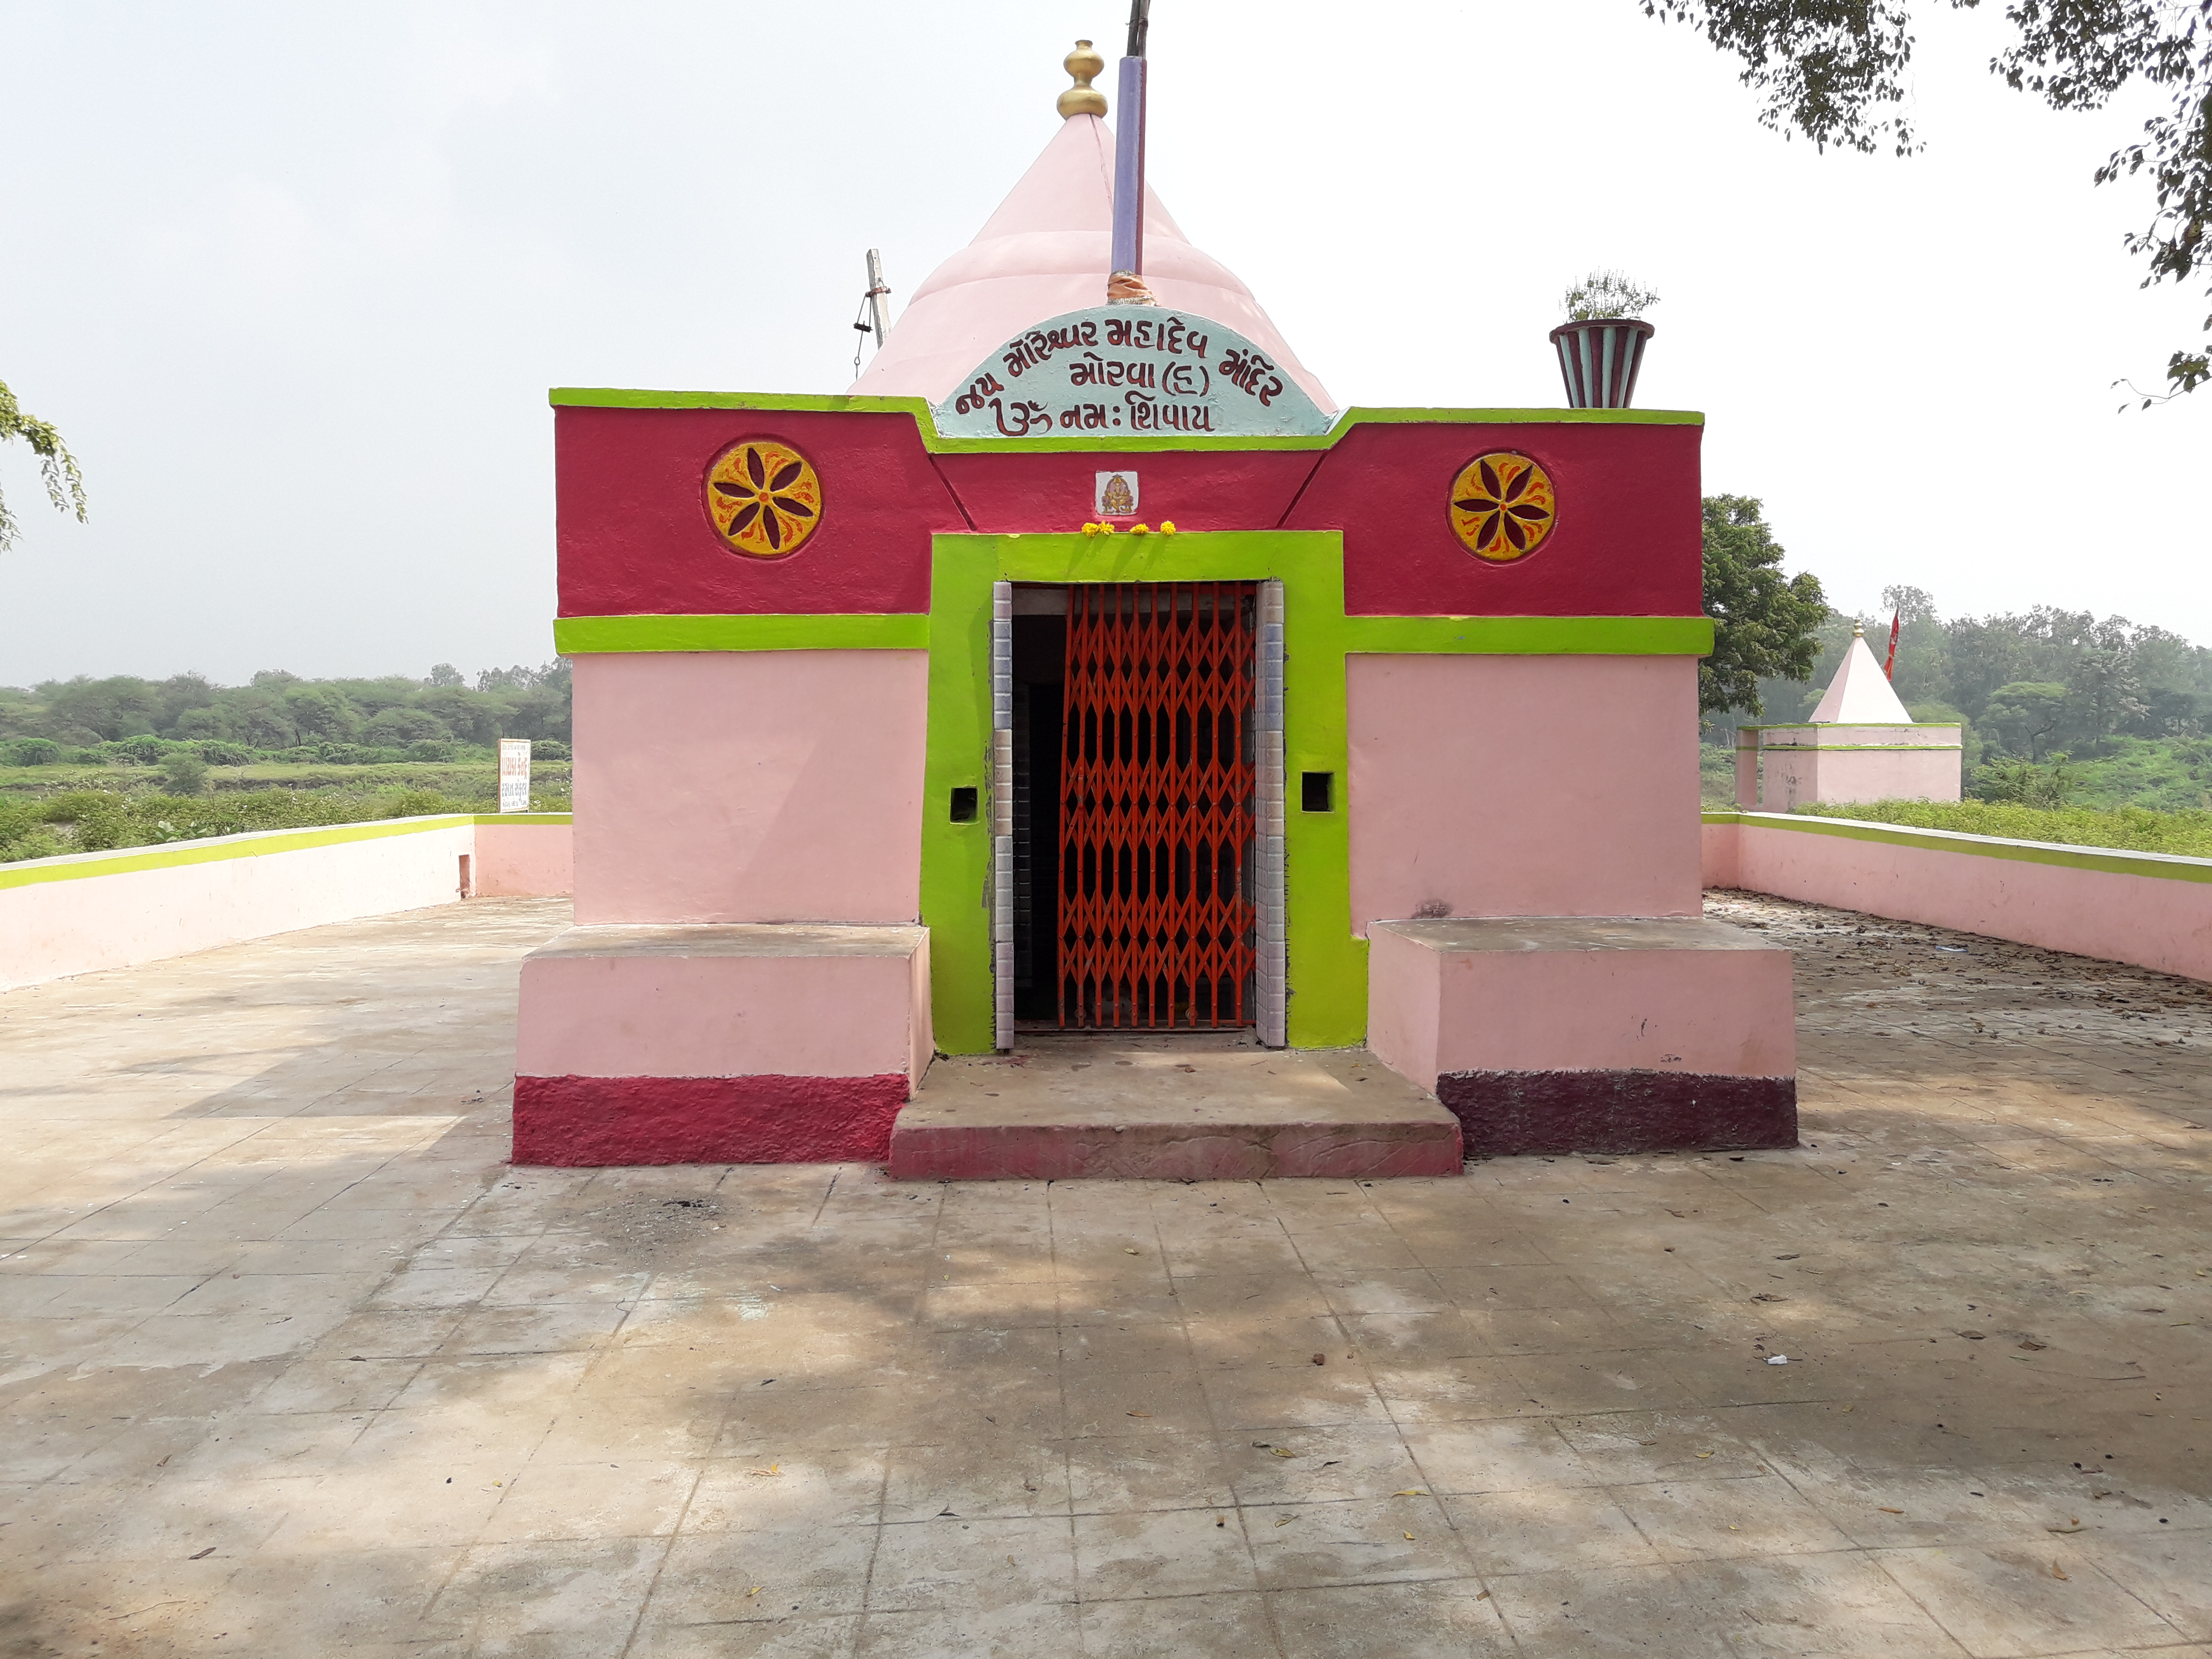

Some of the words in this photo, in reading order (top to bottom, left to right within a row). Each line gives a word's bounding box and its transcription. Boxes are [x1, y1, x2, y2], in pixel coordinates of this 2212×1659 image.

[952, 367, 1008, 417] જય
[987, 394, 1056, 439] ॐ
[991, 313, 1102, 384] 2024-02-23 16:09:59
[1055, 397, 1125, 433] નમઃ
[1063, 349, 1216, 401] મોરવા (હ)
[1100, 311, 1211, 358] મહાદેવ
[1121, 386, 1220, 437] શિવાય
[1217, 338, 1291, 408] મંદિર